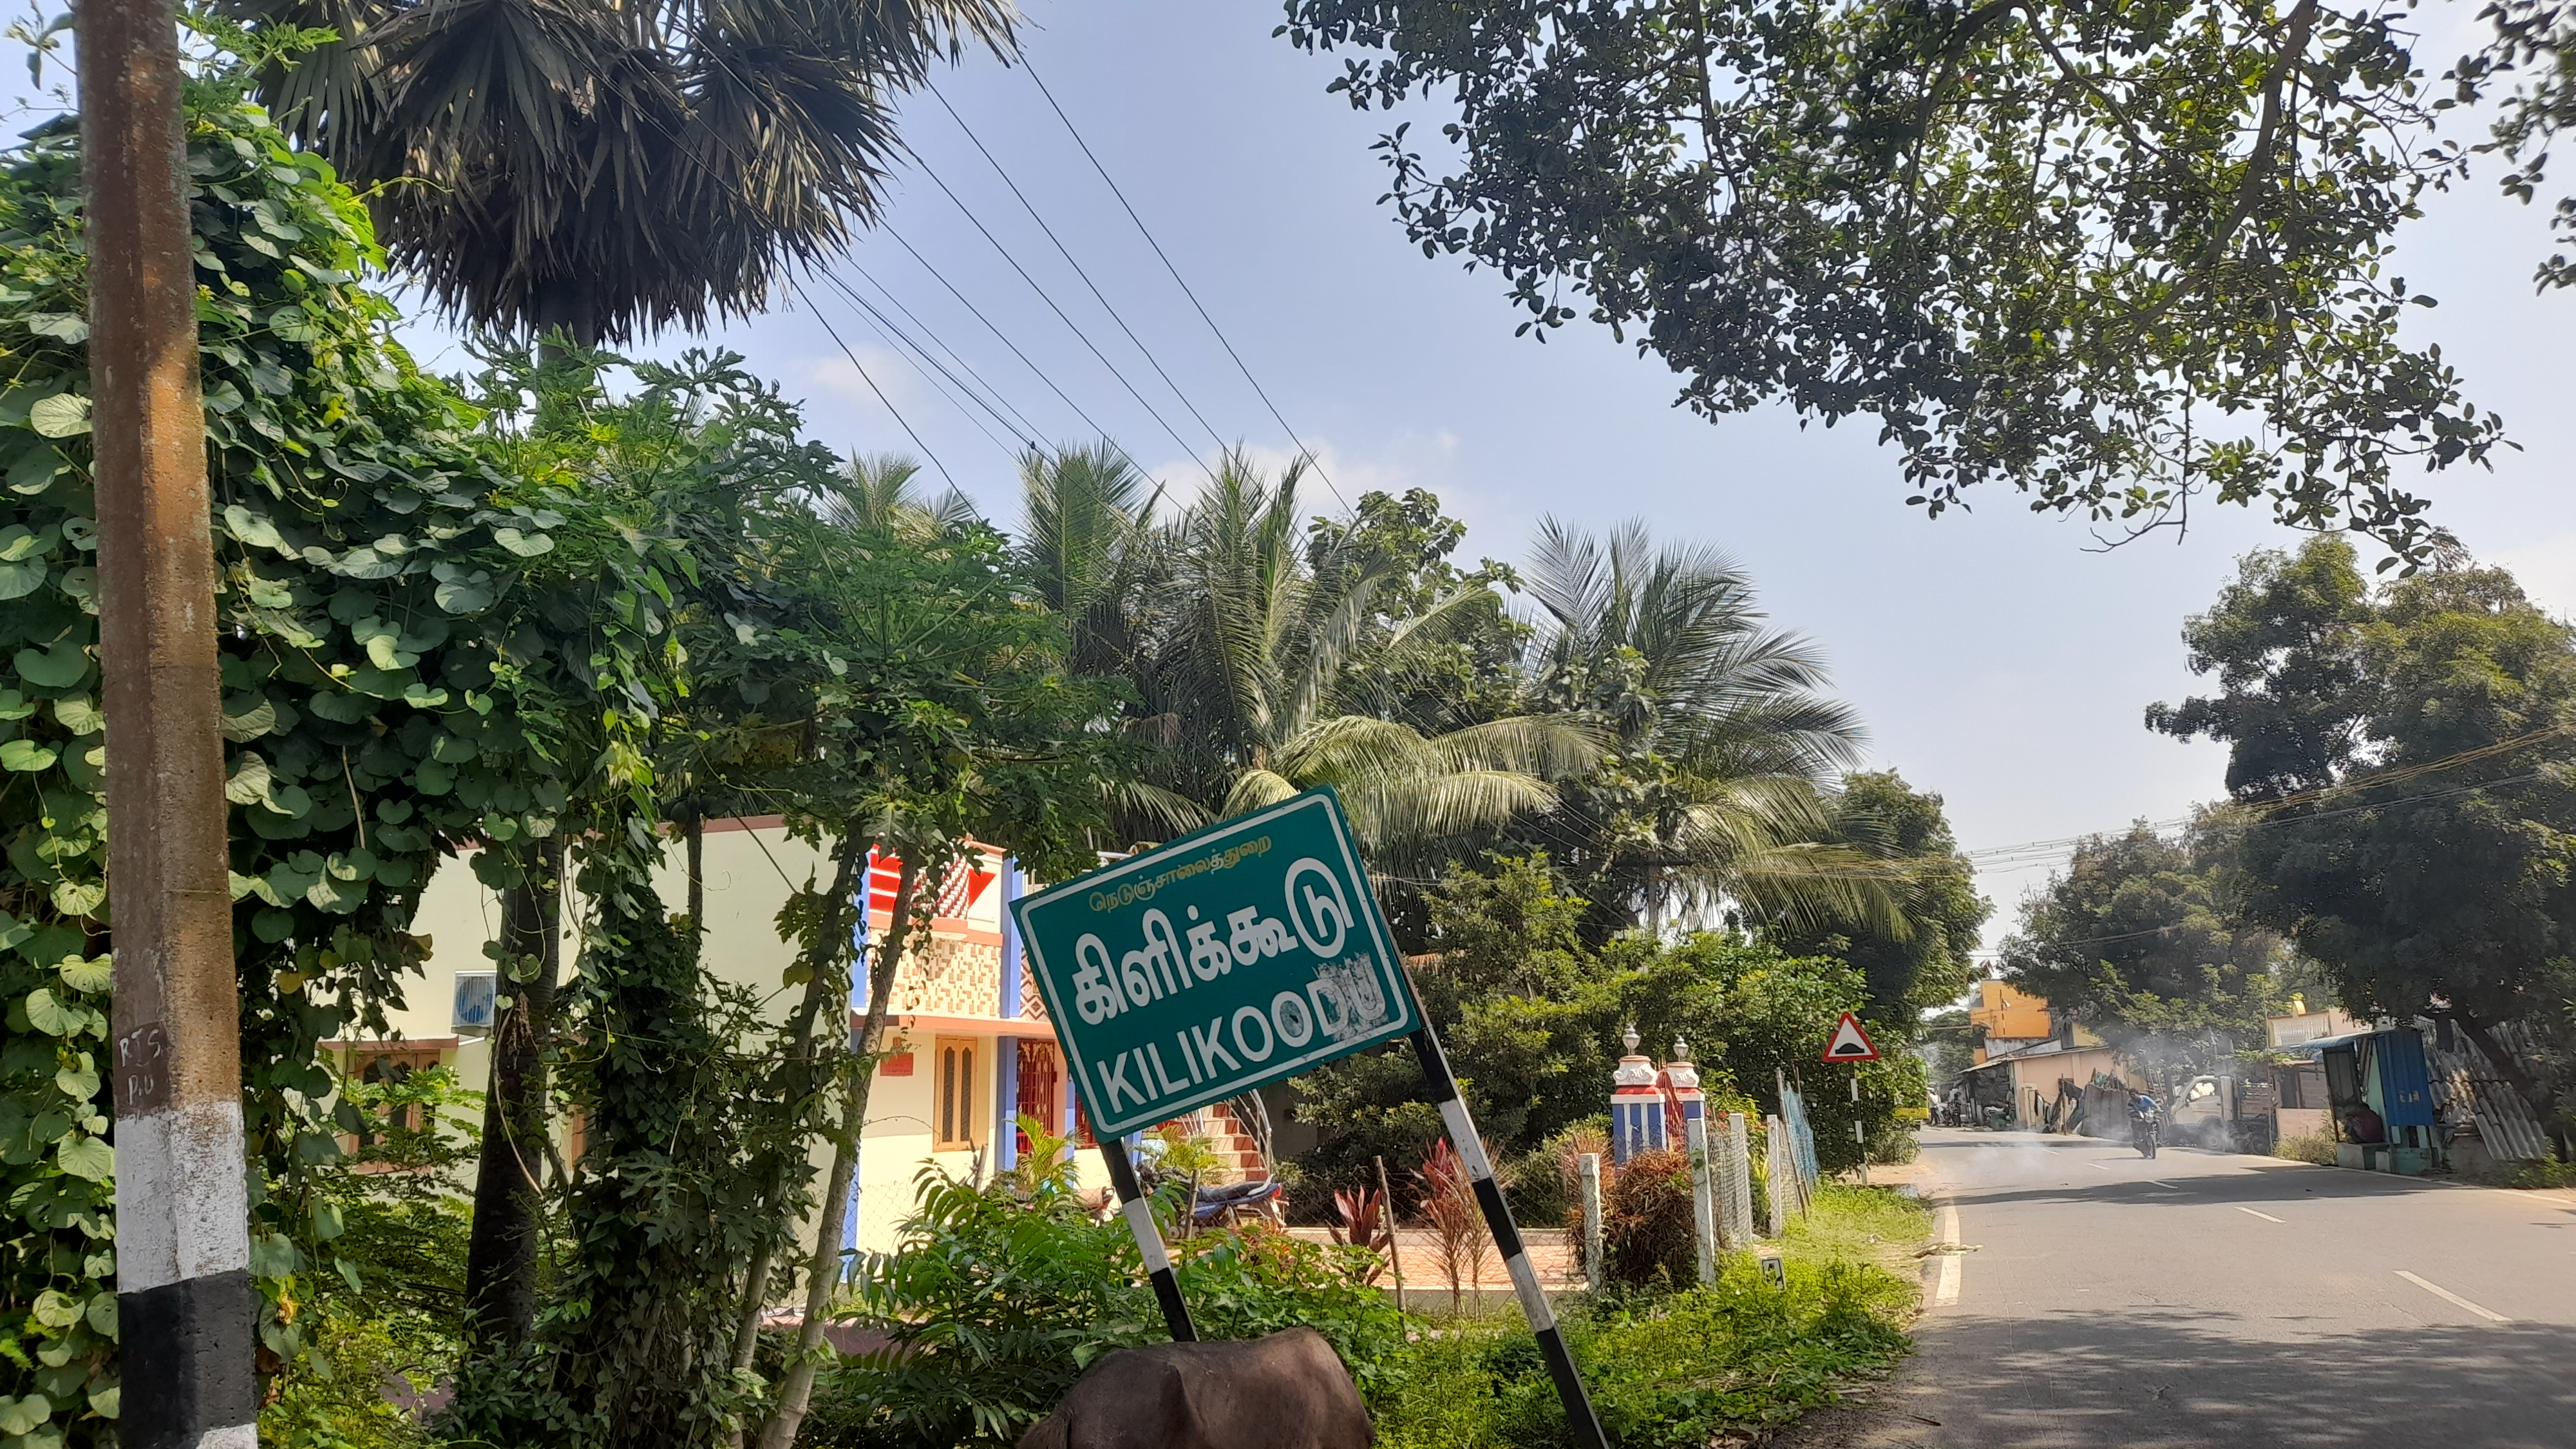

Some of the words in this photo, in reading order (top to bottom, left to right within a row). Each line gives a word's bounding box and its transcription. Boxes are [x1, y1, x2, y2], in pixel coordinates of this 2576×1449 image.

[1084, 831, 1276, 916] நெடுஞ்சாலைத்துறை
[1064, 852, 1358, 1031] கிளிக்கூடு
[1092, 954, 1391, 1117] KILIKOODU